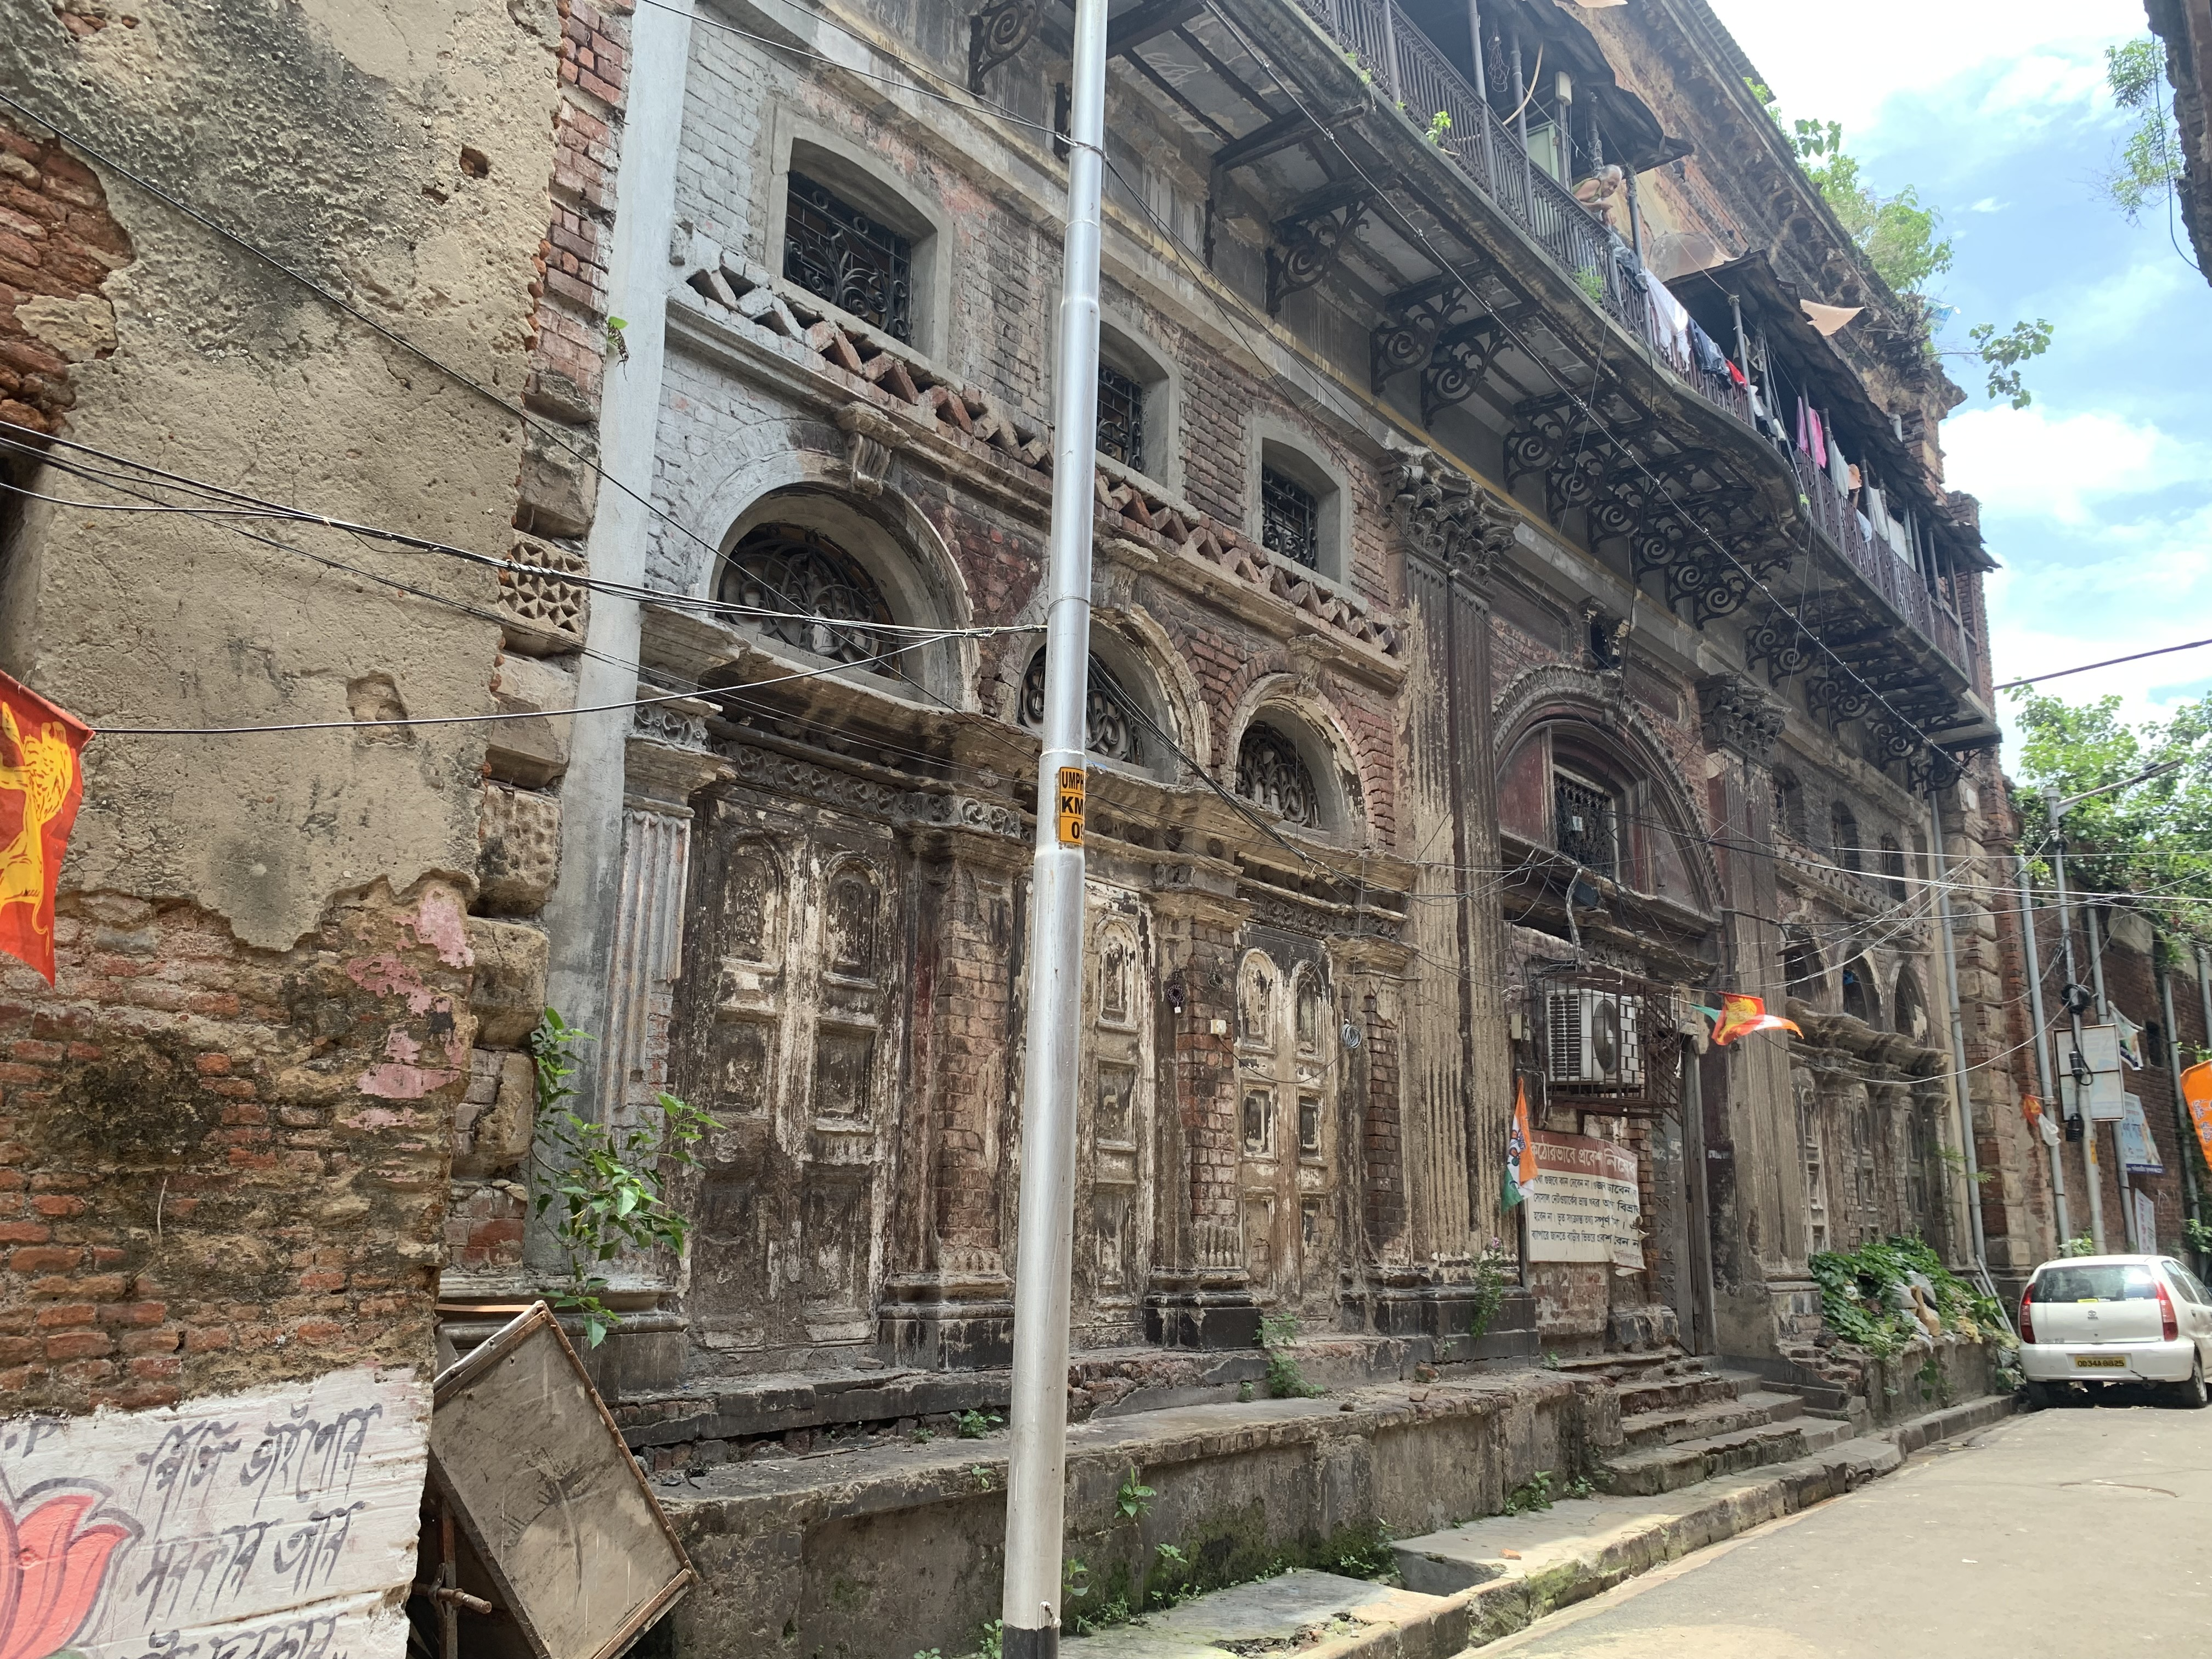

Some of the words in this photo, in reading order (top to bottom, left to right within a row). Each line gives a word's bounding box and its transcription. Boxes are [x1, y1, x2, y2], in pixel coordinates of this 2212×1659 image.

[1526, 1134, 1580, 1164] কঠোরভাবে
[1573, 1145, 1609, 1171] প্রবেশ
[1598, 1143, 1640, 1178] নিয়েধ
[1539, 1171, 1572, 1189] গুজবে কান
[1567, 1175, 1595, 1193] দেবেন না।
[1531, 1187, 1553, 1205] সোসাল
[1549, 1189, 1581, 1207] নেটওয়ার্কের
[1587, 1195, 1617, 1211] খবরে আপ
[1612, 1196, 1641, 1215] বিভ্রা
[1533, 1209, 1556, 1223] হবেন না।
[1553, 1211, 1585, 1228] ভূত সংক্রান্ত
[1527, 1229, 1552, 1244] ব্যাপারে
[1548, 1227, 1570, 1243] জানতে
[1564, 1226, 1584, 1244] বাড়ীর
[1575, 1226, 1598, 1244] ভিতরে
[264, 1483, 374, 1600] আর
[120, 1501, 294, 1628] সরকার